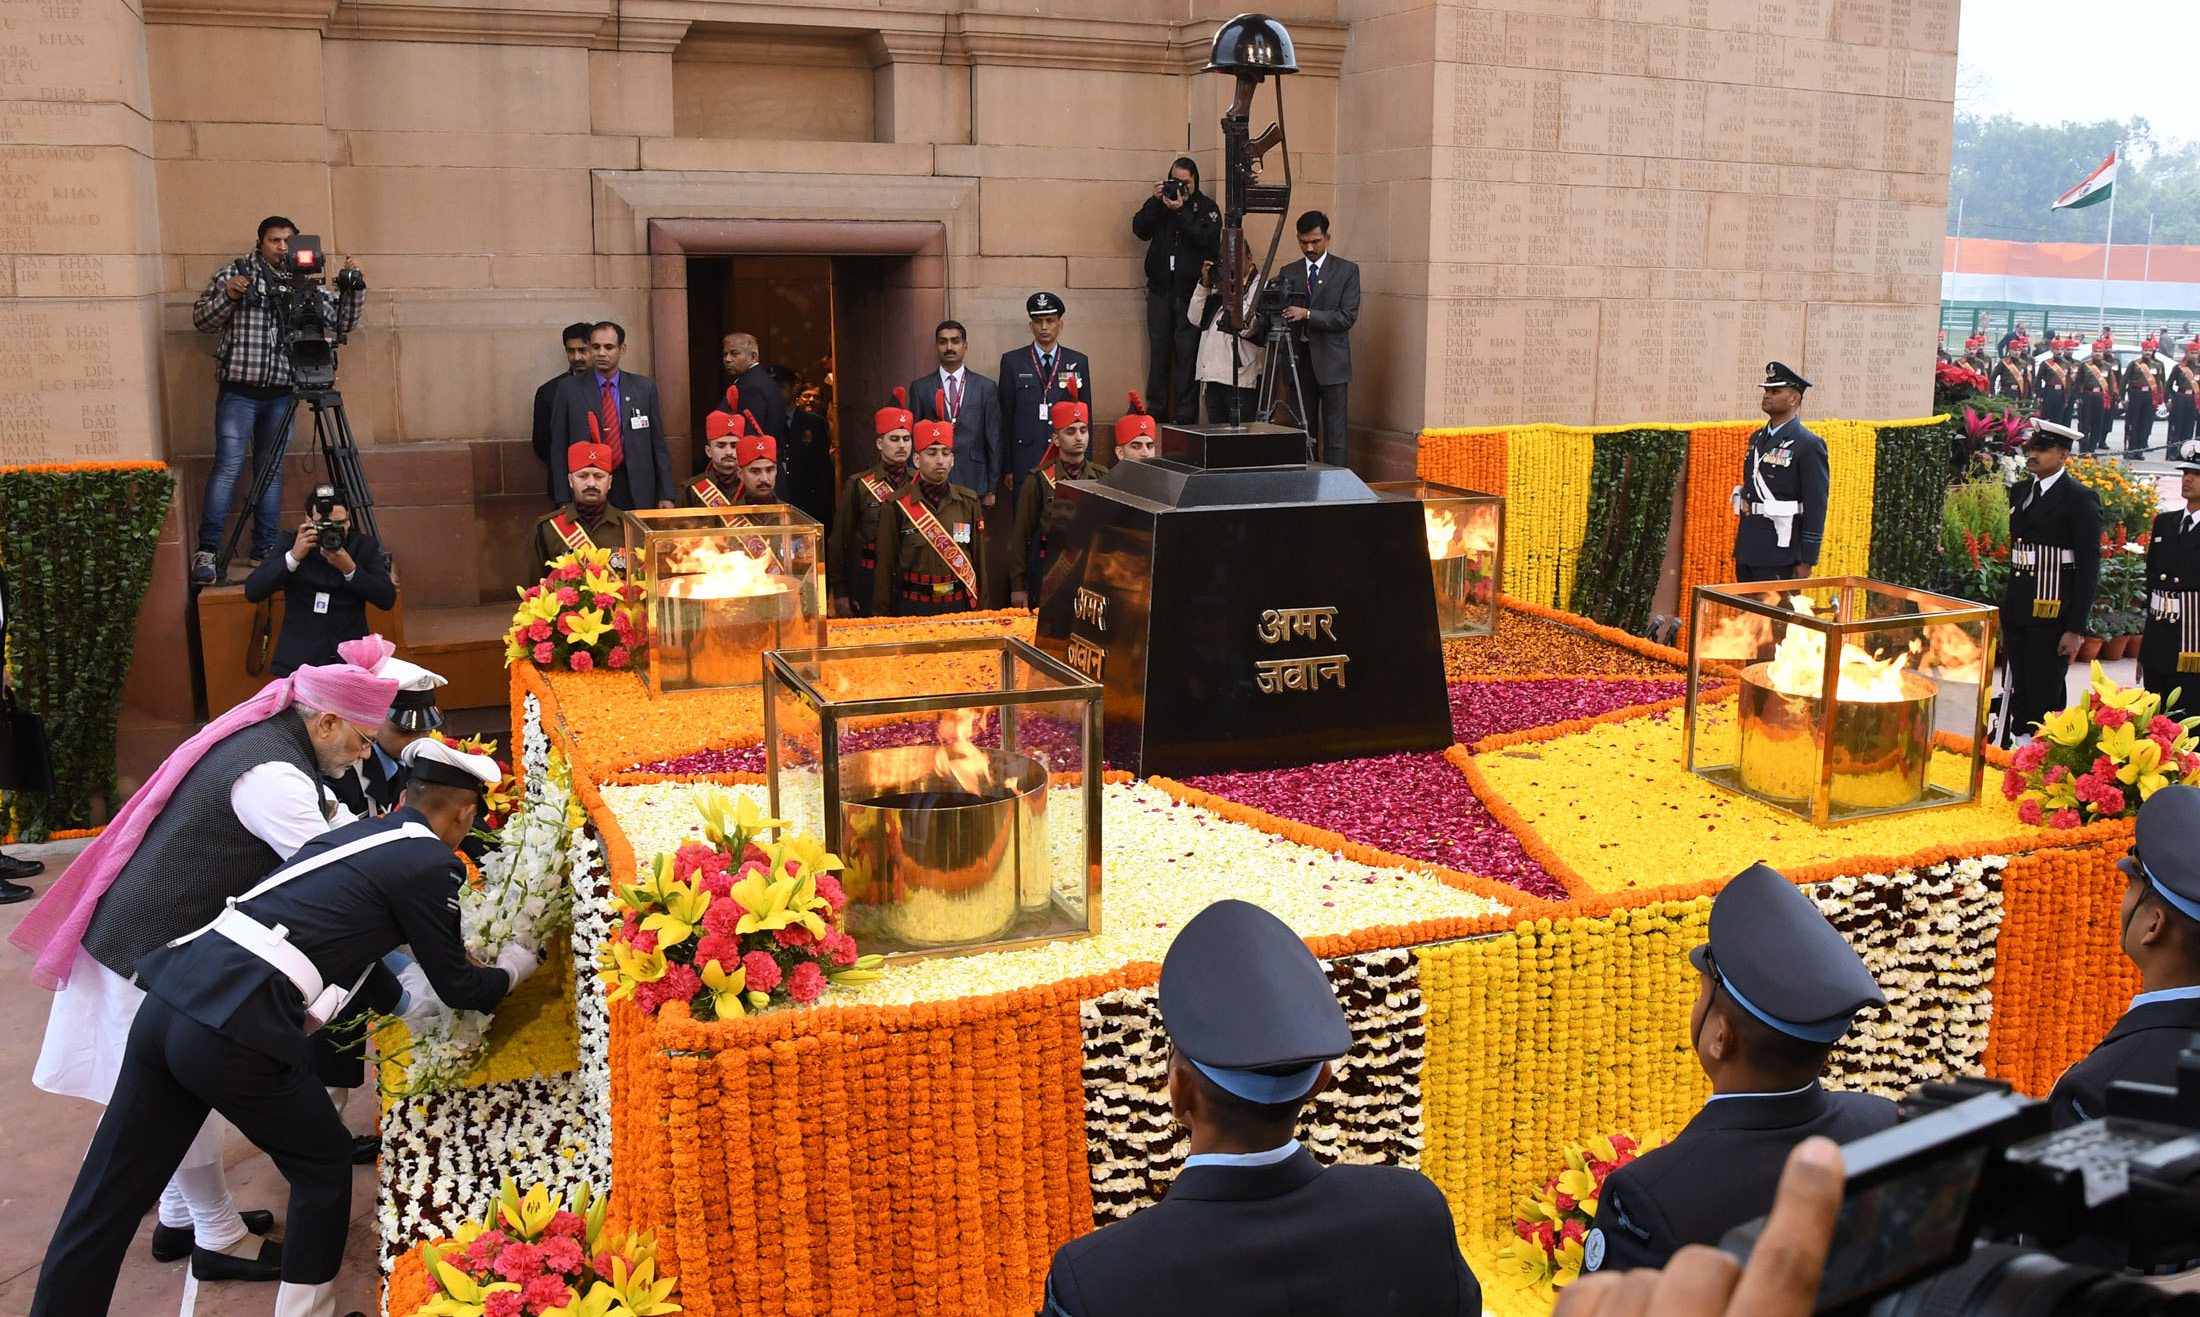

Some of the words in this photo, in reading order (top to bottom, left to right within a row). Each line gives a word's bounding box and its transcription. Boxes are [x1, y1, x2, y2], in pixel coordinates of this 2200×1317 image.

[1070, 585, 1109, 633] अमर
[1255, 604, 1339, 647] अमर
[1064, 630, 1107, 681] जवान
[1253, 651, 1349, 697] जवान